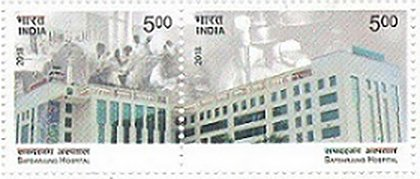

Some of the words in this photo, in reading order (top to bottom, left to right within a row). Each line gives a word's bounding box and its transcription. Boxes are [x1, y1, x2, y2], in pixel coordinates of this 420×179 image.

[11, 11, 49, 31] भारत
[14, 22, 49, 40] INDIA
[141, 13, 175, 36] 500
[192, 11, 227, 29] भारत
[191, 23, 229, 39] INDIA
[366, 11, 399, 35] 500